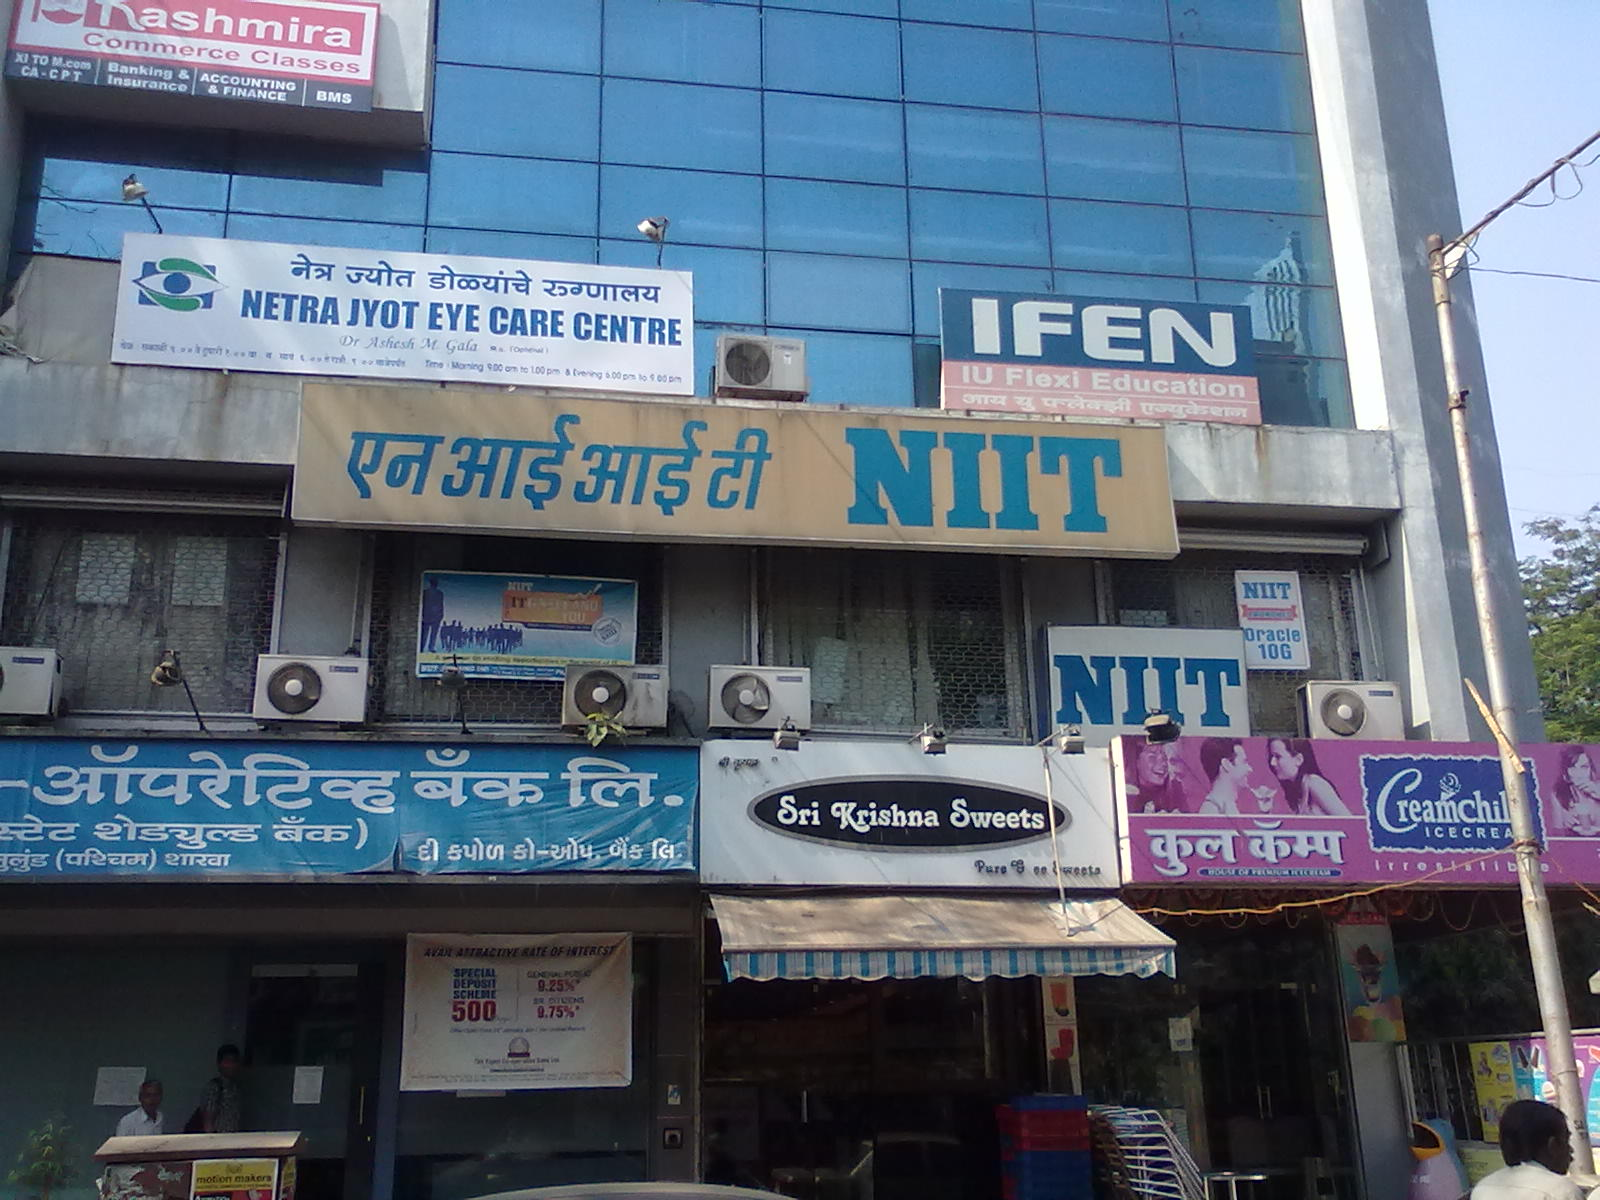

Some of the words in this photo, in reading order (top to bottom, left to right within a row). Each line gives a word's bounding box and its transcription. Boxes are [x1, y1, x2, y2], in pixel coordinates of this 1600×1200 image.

[11, 59, 87, 88] CA-CPT
[9, 47, 96, 71] XITOM.com
[106, 58, 181, 83] Banking
[102, 69, 194, 95] Insurance
[79, 26, 244, 66] Commerce
[172, 61, 195, 83] &
[198, 80, 223, 104] &
[119, 2, 357, 56] ashmira
[200, 68, 301, 96] ACCOUNTING
[217, 83, 291, 103] FINANCE
[245, 45, 362, 77] Classes
[311, 83, 357, 107] BMS
[239, 285, 342, 328] NETRA
[284, 249, 335, 284] नेत्र
[336, 326, 370, 354] Dr
[340, 259, 415, 293] ज्योत
[342, 293, 419, 333] JYOT
[362, 330, 420, 354] Ashesh
[416, 334, 486, 359] M.Gala
[424, 297, 487, 338] EYE
[426, 262, 532, 298] डोळ्यांचे
[487, 302, 571, 342] CARE
[540, 276, 661, 303] रुग्णालय
[568, 309, 687, 351] CENTRE
[965, 290, 1240, 371] IFEN
[954, 357, 999, 395] IU
[1004, 361, 1087, 395] Flexi
[1088, 366, 1251, 402] Education
[956, 389, 1014, 416] आय
[1008, 391, 1040, 418] यु
[1034, 392, 1138, 416] फ्लेक्झी
[1132, 391, 1251, 421] एज्युकेशन
[342, 423, 453, 508] एन
[436, 408, 584, 516] आई
[565, 412, 771, 518] आईटी
[840, 425, 1128, 536] NIIT
[1236, 574, 1294, 606] NIIT
[1239, 620, 1306, 645] Oracle
[1256, 644, 1294, 662] 10G
[1047, 645, 1244, 734] NIIT
[28, 736, 404, 818] ऑपरेटिव्ह
[403, 739, 555, 816] बँक
[549, 743, 691, 816] लि.
[3, 804, 82, 845] स्टेट
[61, 845, 155, 874] पश्‍चिम
[88, 804, 264, 852] शेड्युल्ड
[160, 842, 233, 873] शारवा
[269, 808, 360, 846] बँक
[767, 787, 825, 830] Sri
[828, 796, 946, 836] Krishna
[967, 851, 1013, 876] Pure
[940, 791, 1053, 838] Sweets
[1049, 856, 1106, 880] weets
[1136, 821, 1243, 884] कुल
[1239, 813, 1346, 872] कॅम्प
[1374, 764, 1515, 841] Creamchill
[1423, 822, 1517, 842] ICECREA
[448, 961, 500, 983] SPECIAL
[449, 975, 501, 991] DEPOSIT
[450, 985, 500, 1005] SCHEME
[449, 995, 503, 1027] 500
[532, 998, 582, 1024] 9.75%